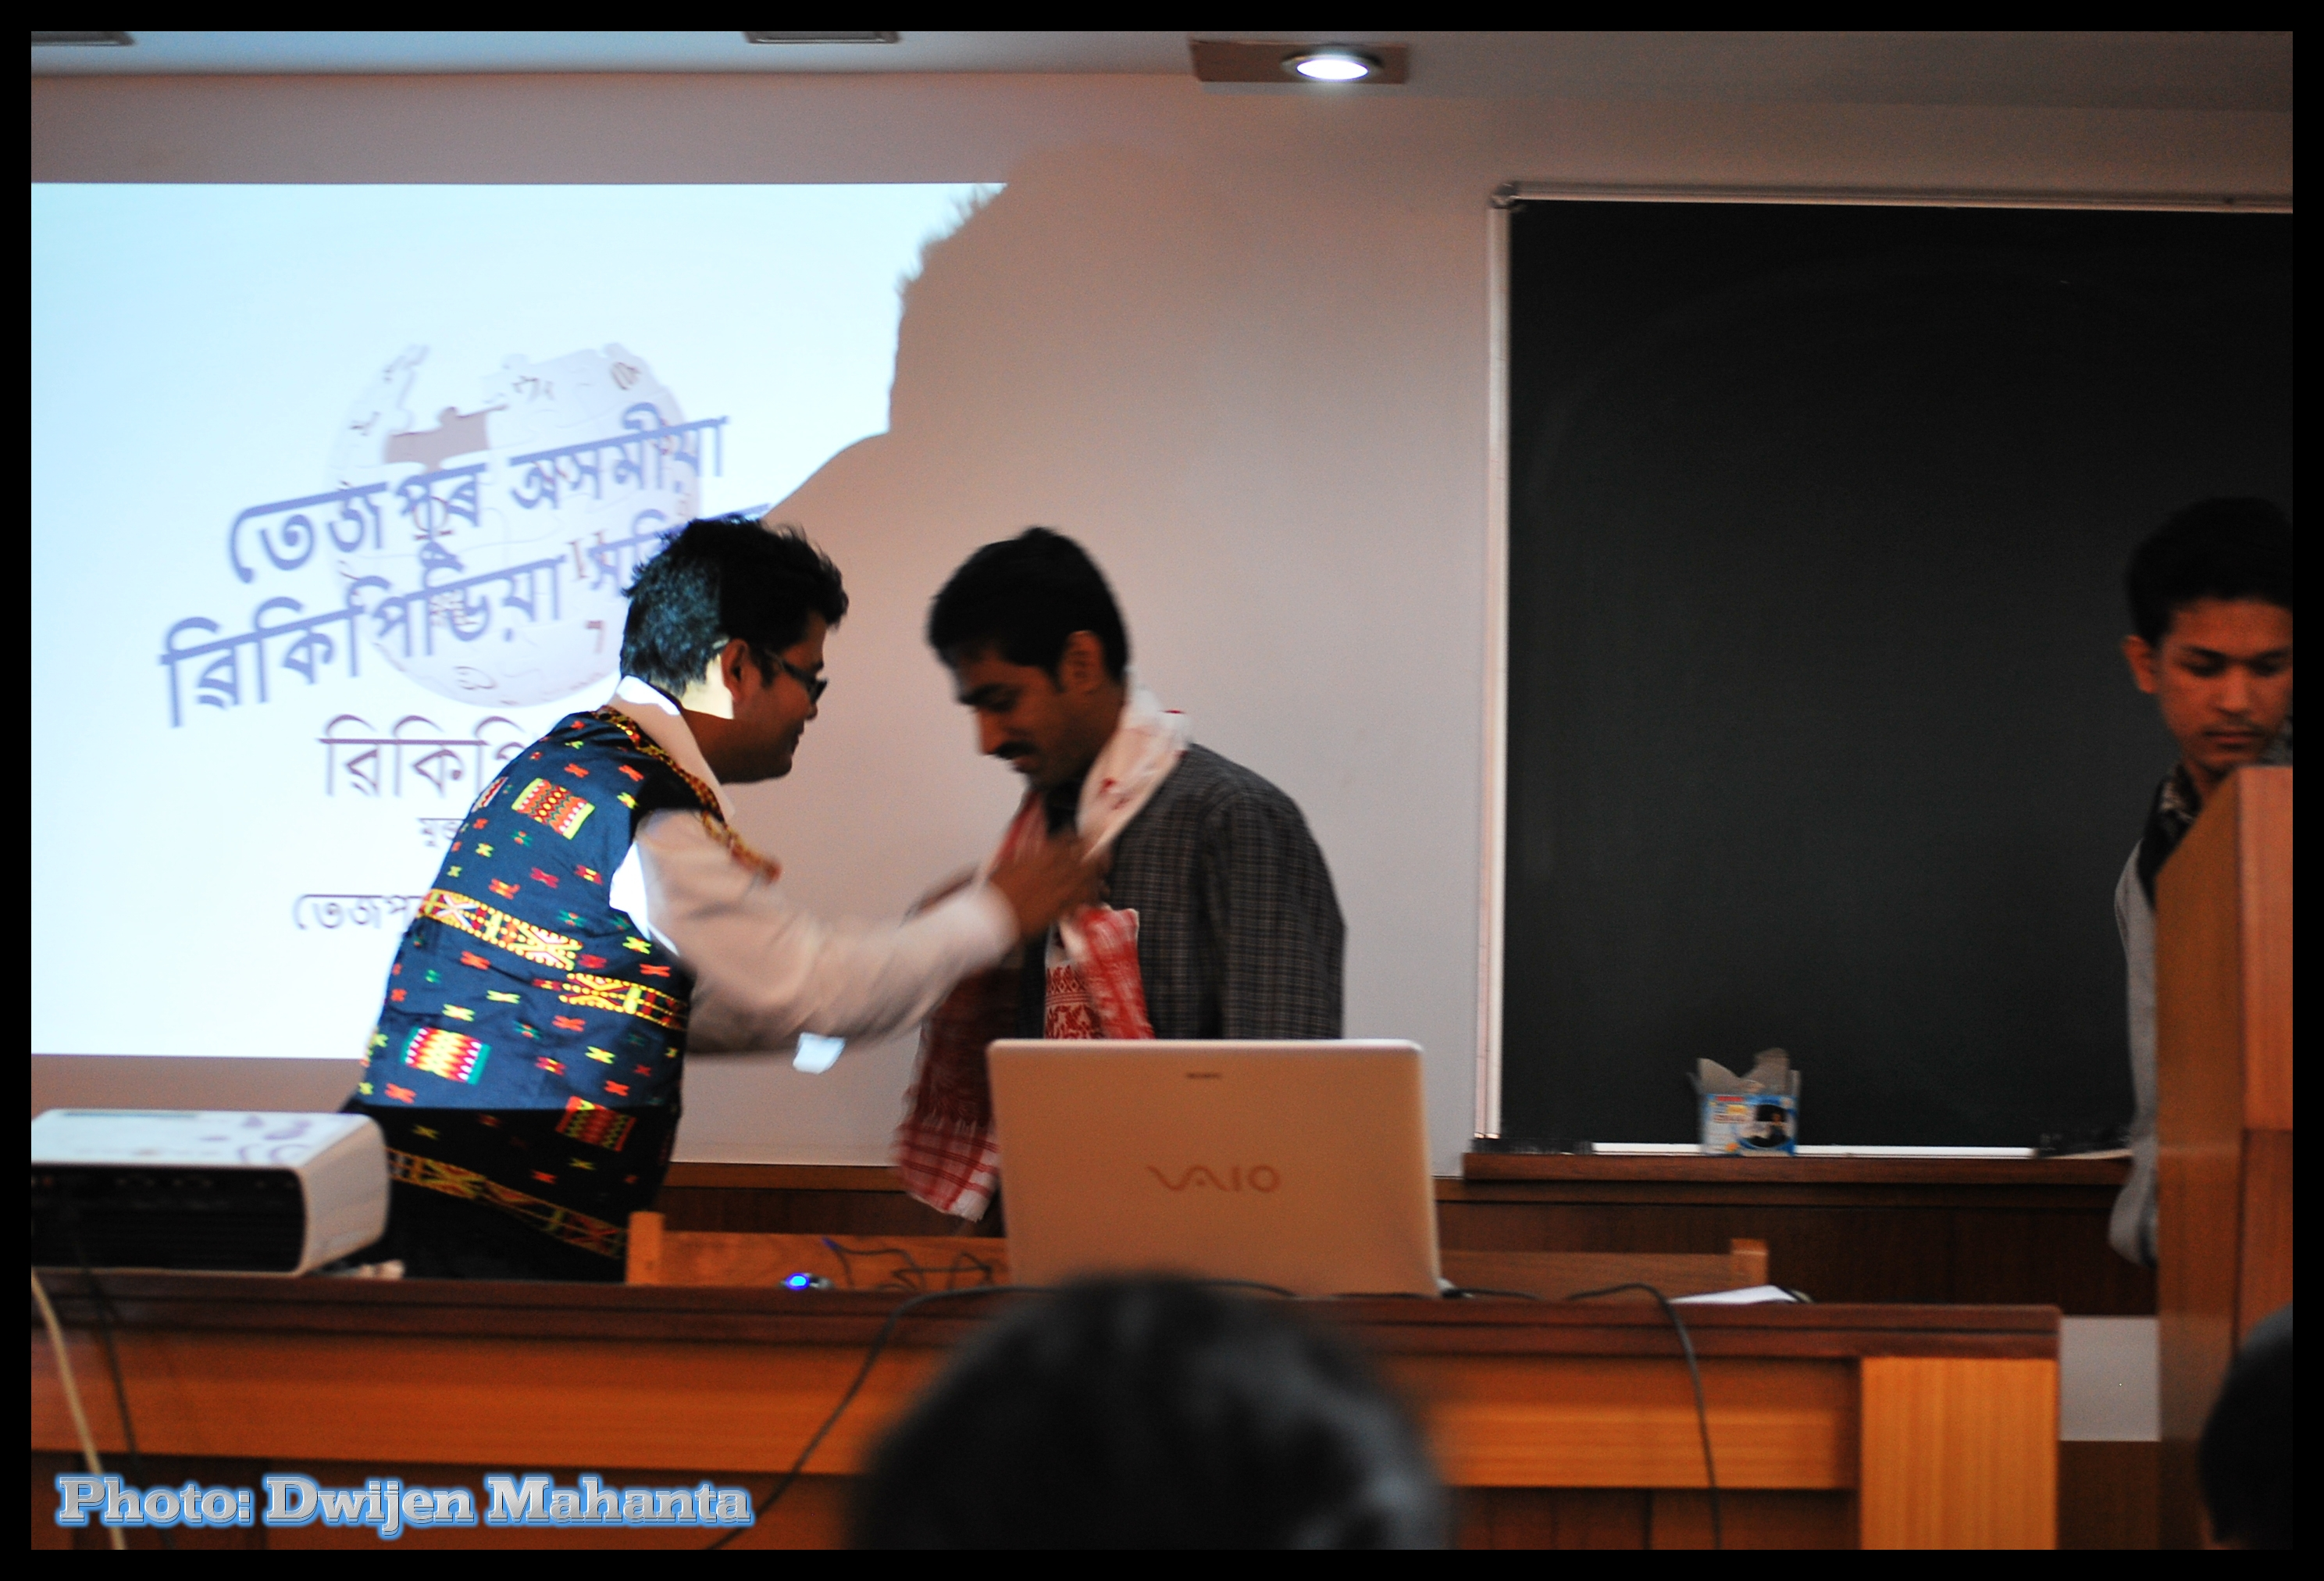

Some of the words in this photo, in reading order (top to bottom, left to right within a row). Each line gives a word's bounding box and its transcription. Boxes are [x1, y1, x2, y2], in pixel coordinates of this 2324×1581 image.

[501, 388, 738, 519] অসমীয়া
[209, 458, 498, 597] তেজপুৰ
[148, 549, 572, 737] ৱিকিপিডিয়া
[301, 694, 519, 801] ৱিকি
[42, 1470, 264, 1536] Photo:
[258, 1469, 490, 1536] Dwijen
[476, 1465, 762, 1537] Mahanta